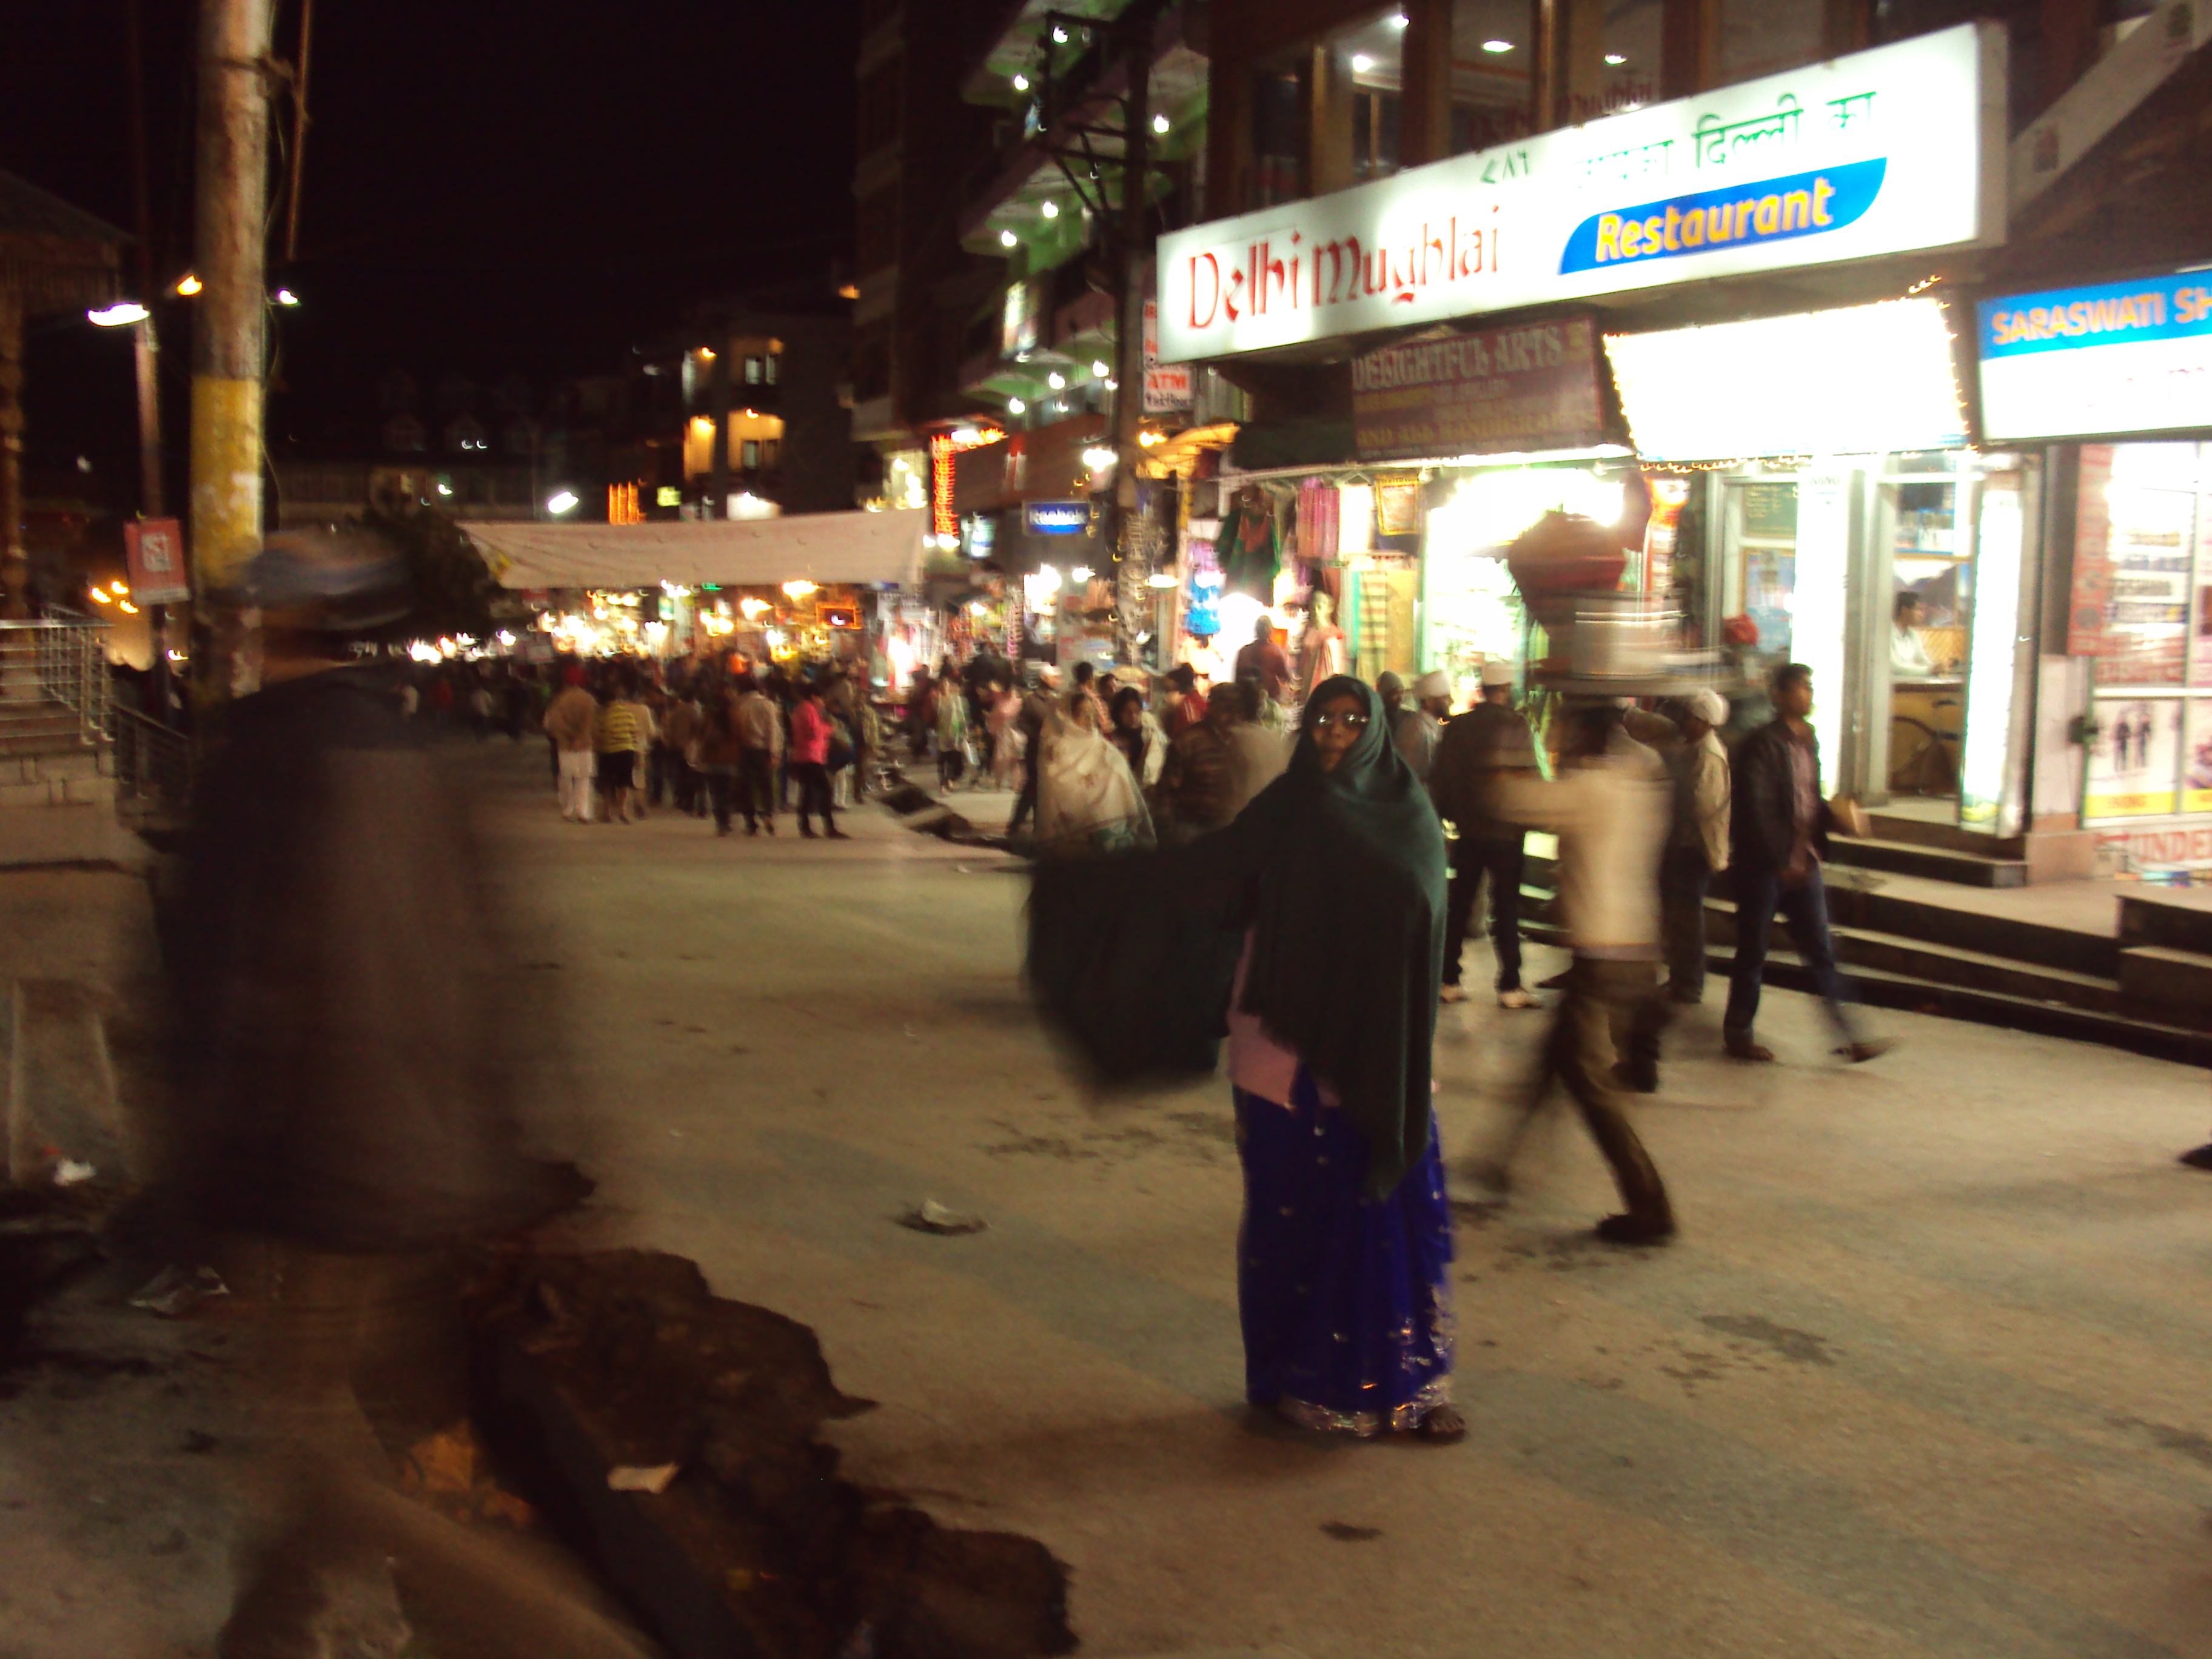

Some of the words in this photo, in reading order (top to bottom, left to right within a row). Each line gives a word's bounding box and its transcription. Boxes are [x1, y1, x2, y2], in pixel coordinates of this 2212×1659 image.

[1687, 89, 1807, 172] दिल्ली
[1821, 90, 1879, 141] का
[1185, 223, 1304, 331] Delhi
[1309, 201, 1506, 308] Mughlai
[1593, 170, 1840, 266] Restaurant
[1987, 289, 2168, 351] SARASWATI